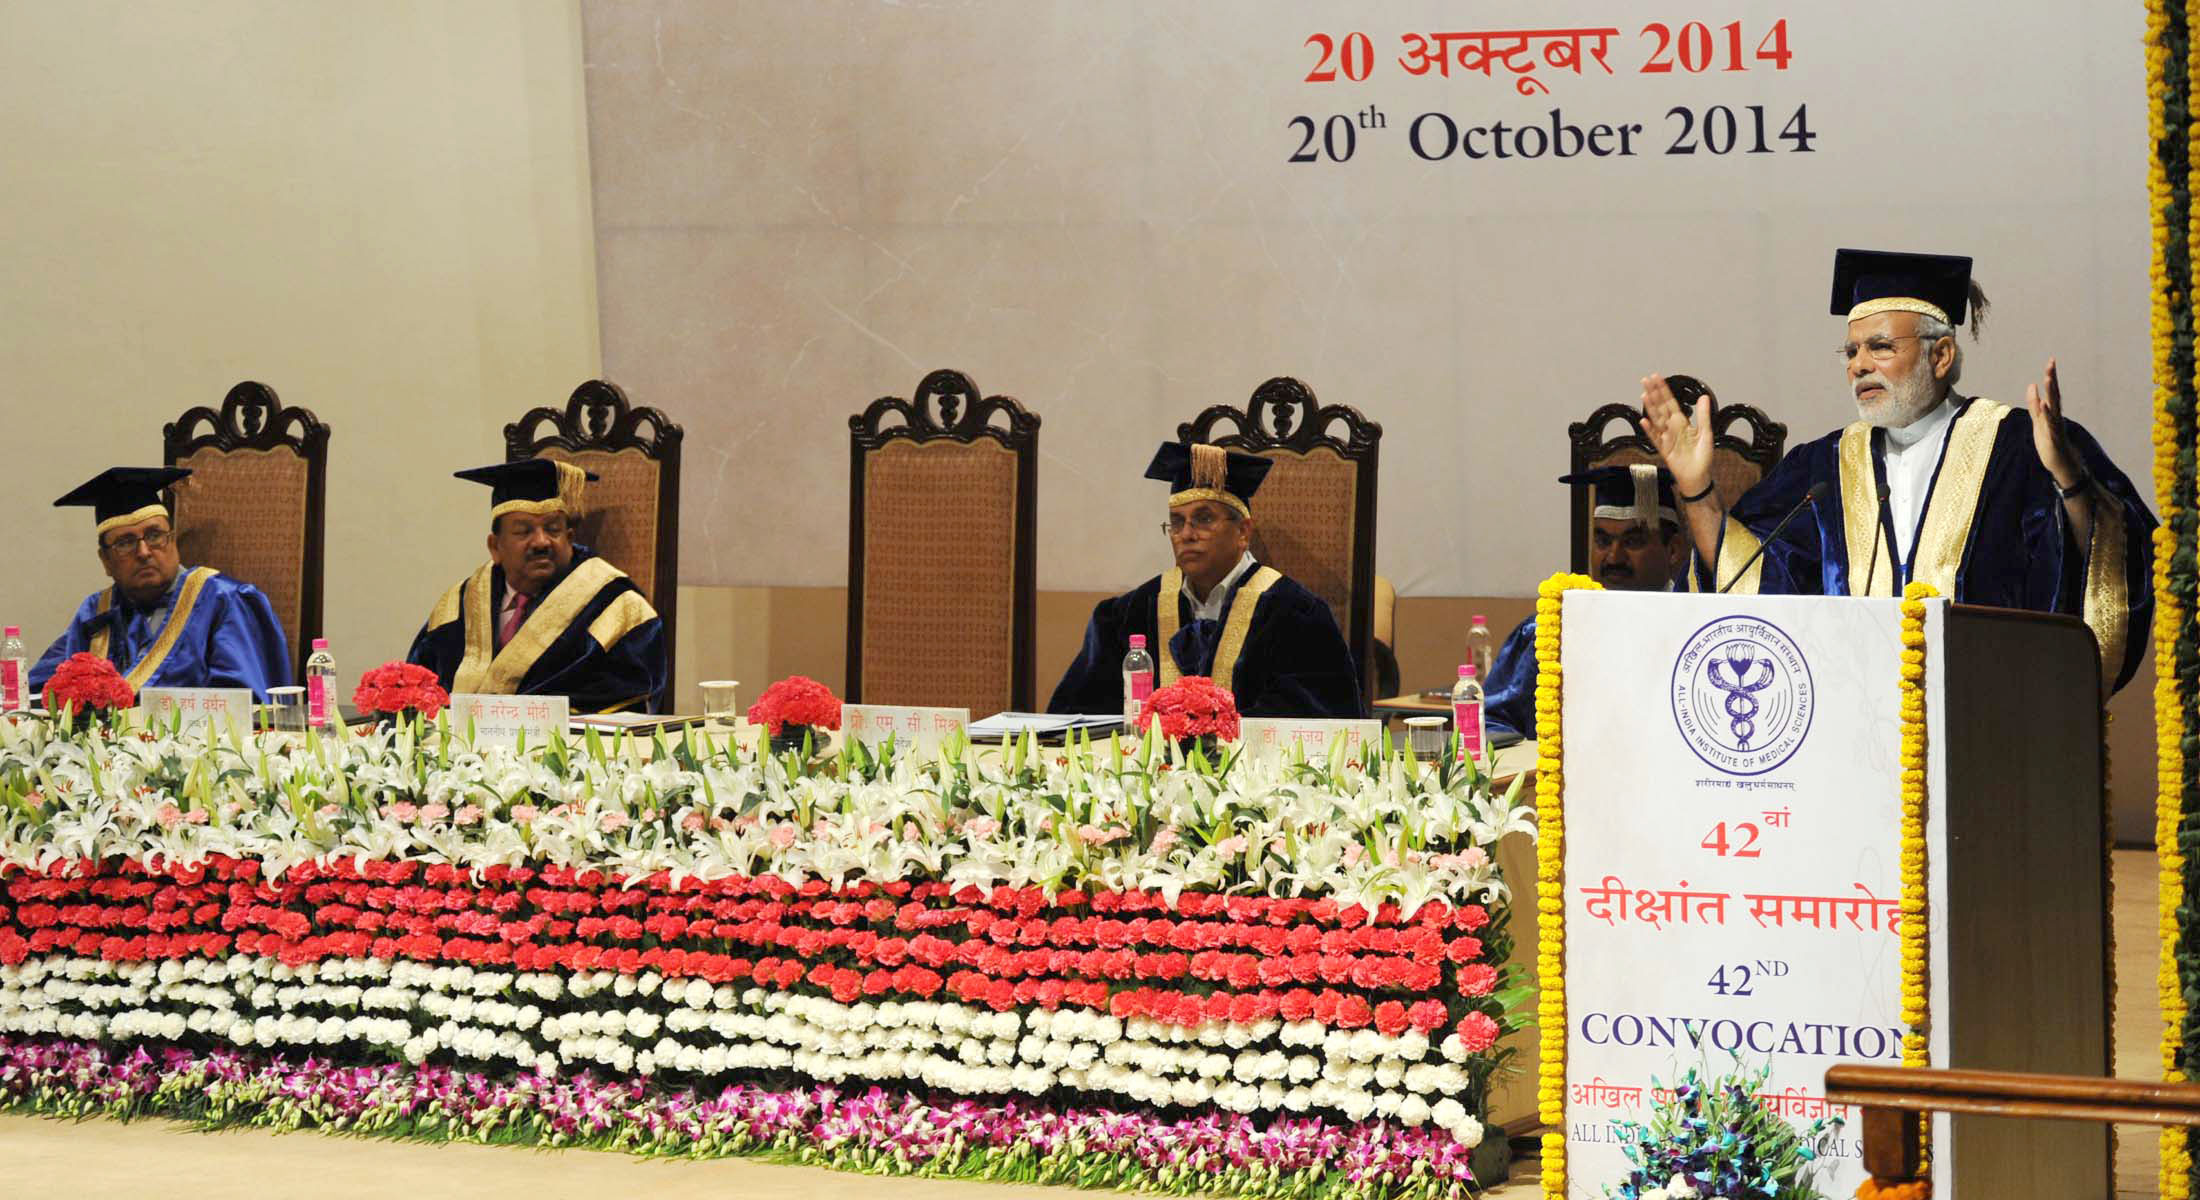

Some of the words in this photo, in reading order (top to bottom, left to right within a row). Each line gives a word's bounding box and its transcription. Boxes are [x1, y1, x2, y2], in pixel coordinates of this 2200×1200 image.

[1293, 21, 1381, 95] 20
[1394, 21, 1627, 101] अक्टूबर
[1635, 12, 1793, 80] 2014
[1278, 96, 1392, 172] 20th
[1403, 98, 1645, 164] October
[1660, 98, 1815, 158] 2014
[1674, 616, 1735, 681] अखिल-भारतीय
[1730, 619, 1787, 654] आयुर्विज्ञान
[1777, 636, 1807, 679] संस्थान
[462, 693, 489, 723] श्री
[484, 695, 526, 721] नरेन्द्र
[520, 692, 557, 724] मोदी
[838, 703, 871, 733] प्रो.
[871, 710, 903, 736] एम
[901, 705, 926, 737] सी
[925, 708, 967, 740] मिश्र
[1671, 682, 1703, 740] ALL-INDIA
[1788, 677, 1812, 736] SCIENCES
[1689, 731, 1744, 772] INSTITUTE
[1737, 753, 1759, 772] OF
[1734, 773, 1800, 796] खलुधर्मसाधनम्
[1752, 731, 1800, 772] MEDICAL
[1698, 798, 1794, 863] 42वां
[1580, 869, 1733, 934] दीक्षांत
[1742, 873, 1907, 942] समारोह
[1705, 952, 1796, 1002] 42ND
[1579, 1007, 1918, 1066] CONVOCATION
[1566, 1073, 1647, 1113] अखिल
[1742, 1081, 1856, 1125] यर्विज्ञान